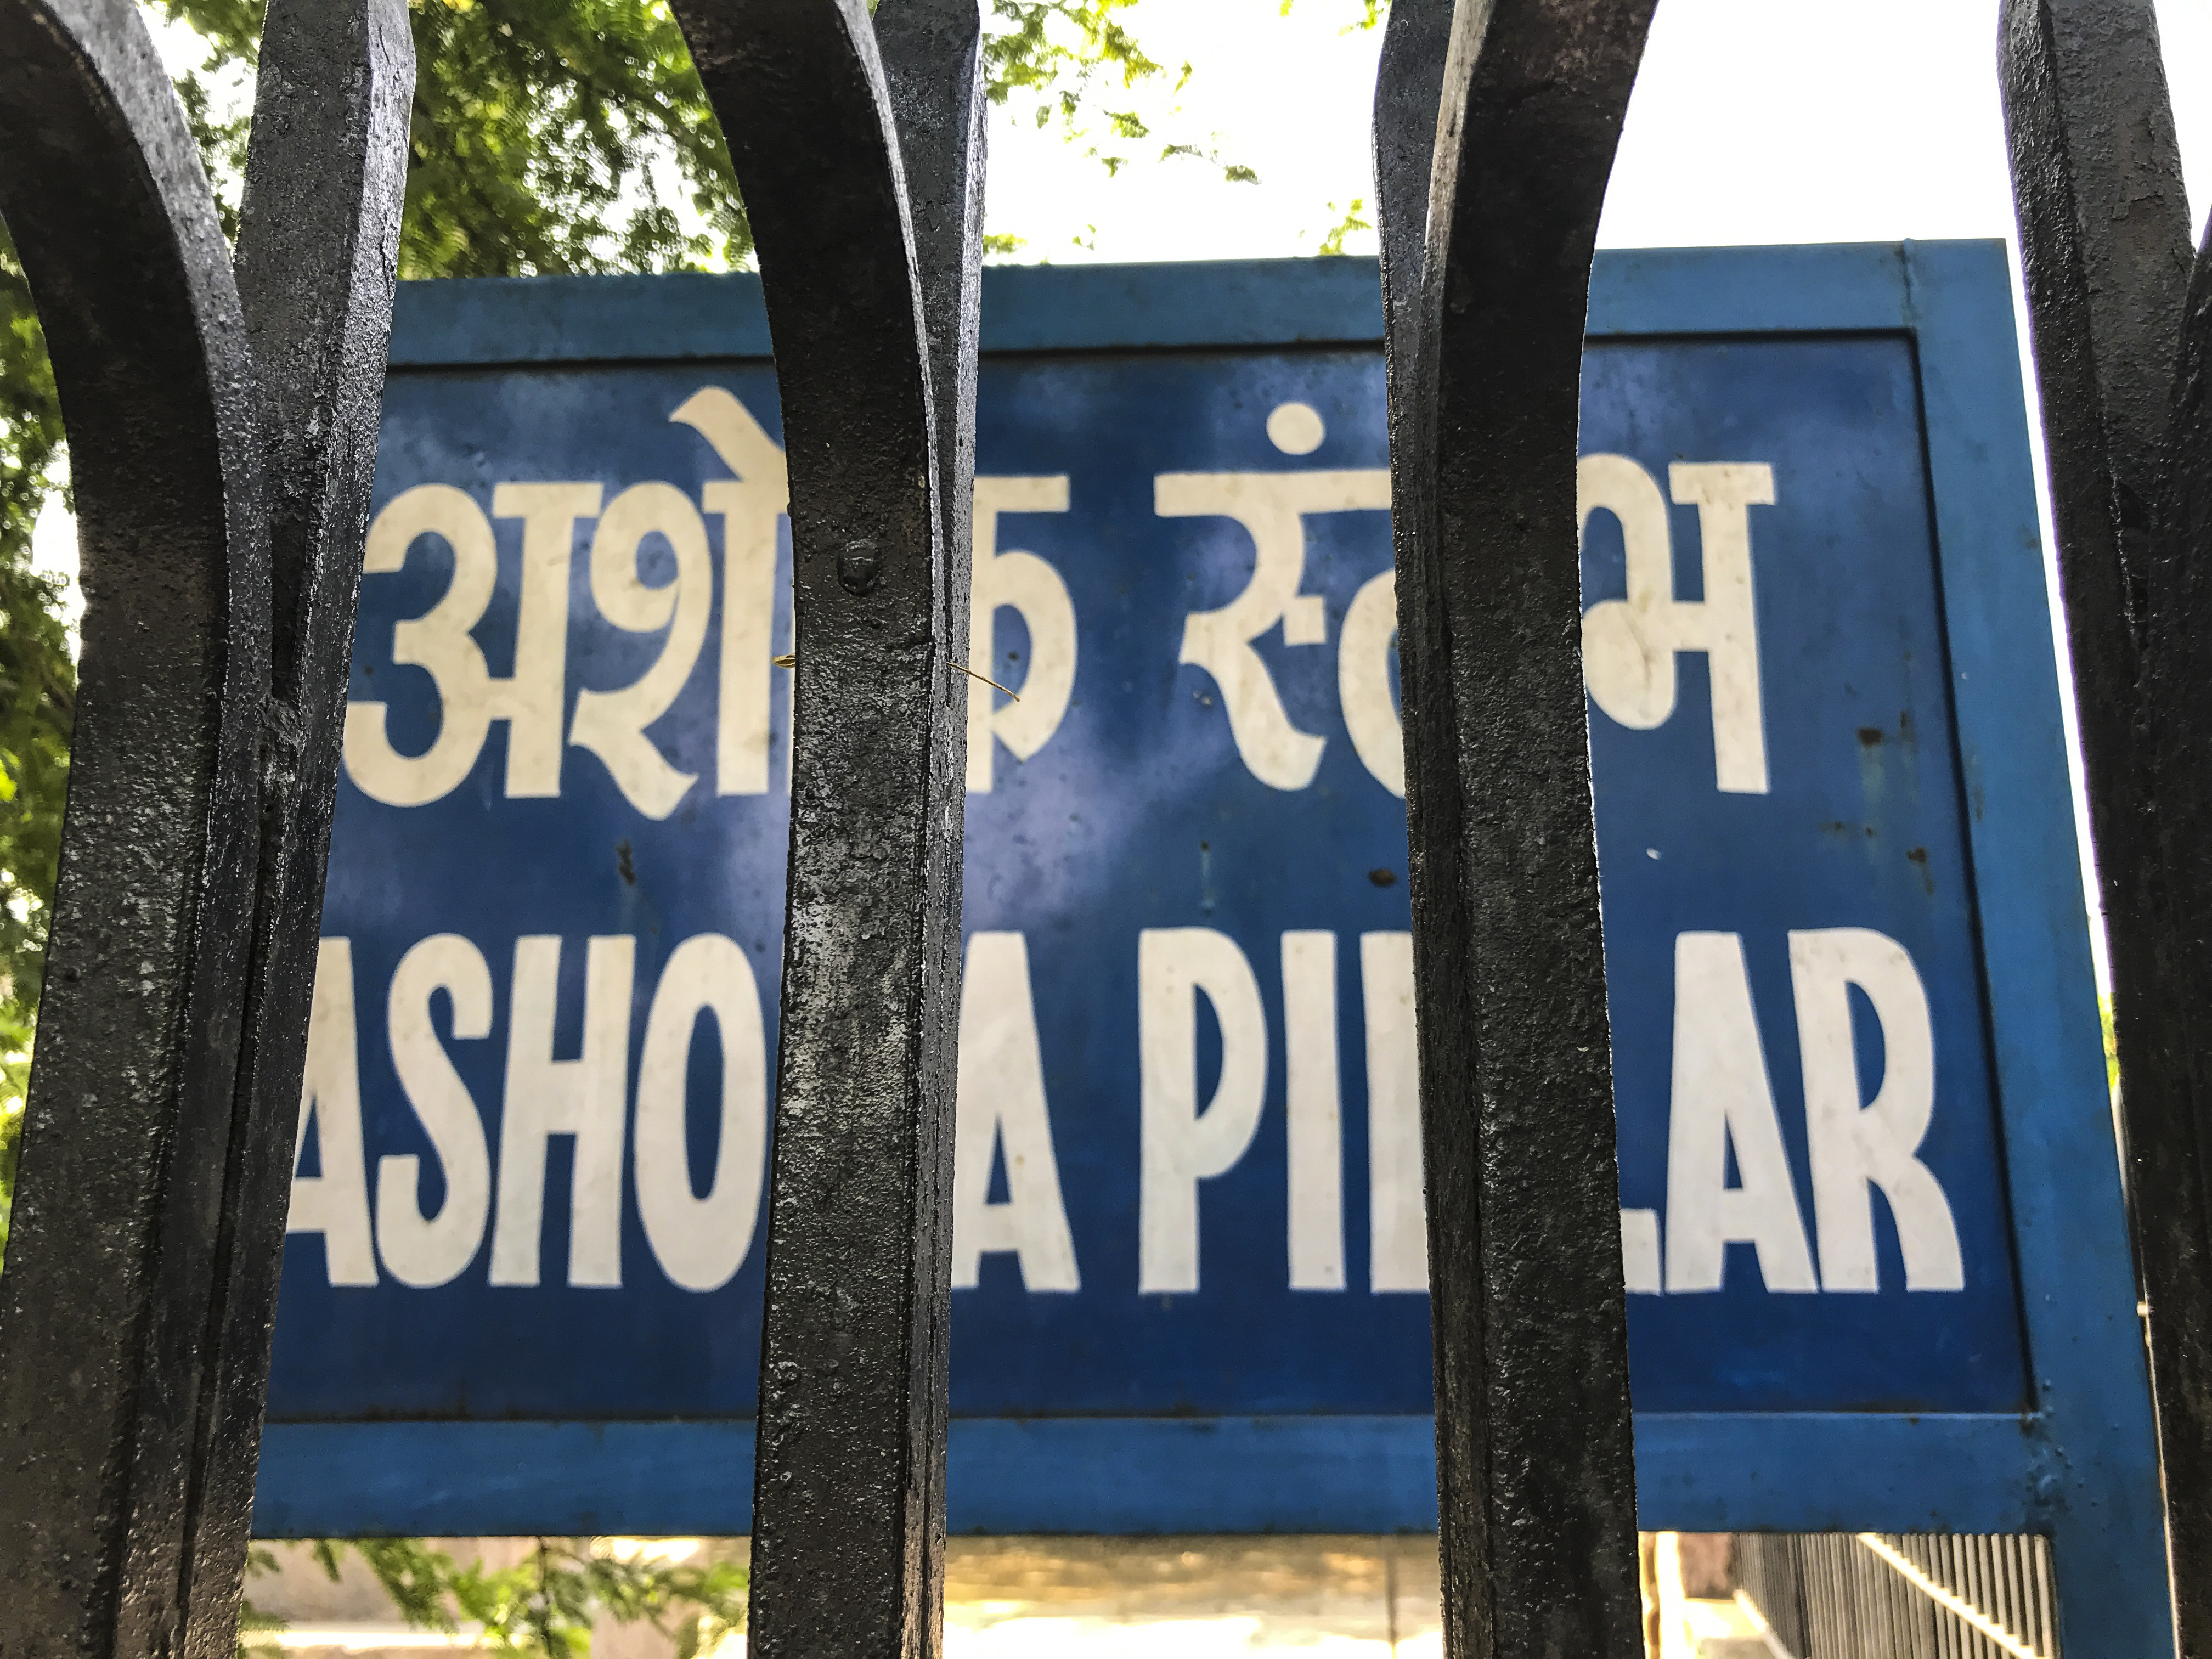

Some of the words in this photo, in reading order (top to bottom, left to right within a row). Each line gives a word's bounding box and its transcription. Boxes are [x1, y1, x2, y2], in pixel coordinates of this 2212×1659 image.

[340, 379, 1084, 827] अशोक
[1152, 394, 1410, 809] स्ं
[1567, 444, 1779, 799] भ
[285, 923, 1086, 1300] ASHOKA
[1136, 926, 1443, 1297] PII
[1658, 919, 1976, 1300] AR